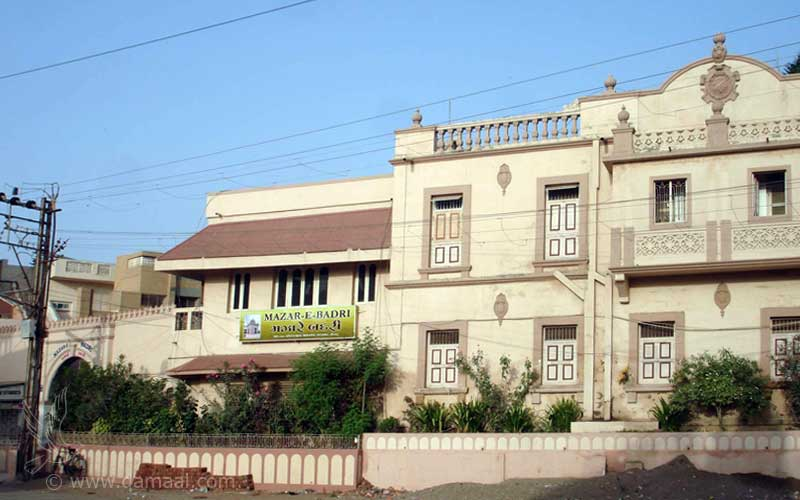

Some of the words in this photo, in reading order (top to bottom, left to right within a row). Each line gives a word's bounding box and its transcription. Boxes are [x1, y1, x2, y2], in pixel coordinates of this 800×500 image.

[261, 308, 353, 324] MAZAR-E-BADRI
[270, 322, 305, 333] મઝારે
[305, 319, 343, 332] ખહરી
[65, 465, 245, 489] www.damaal.com